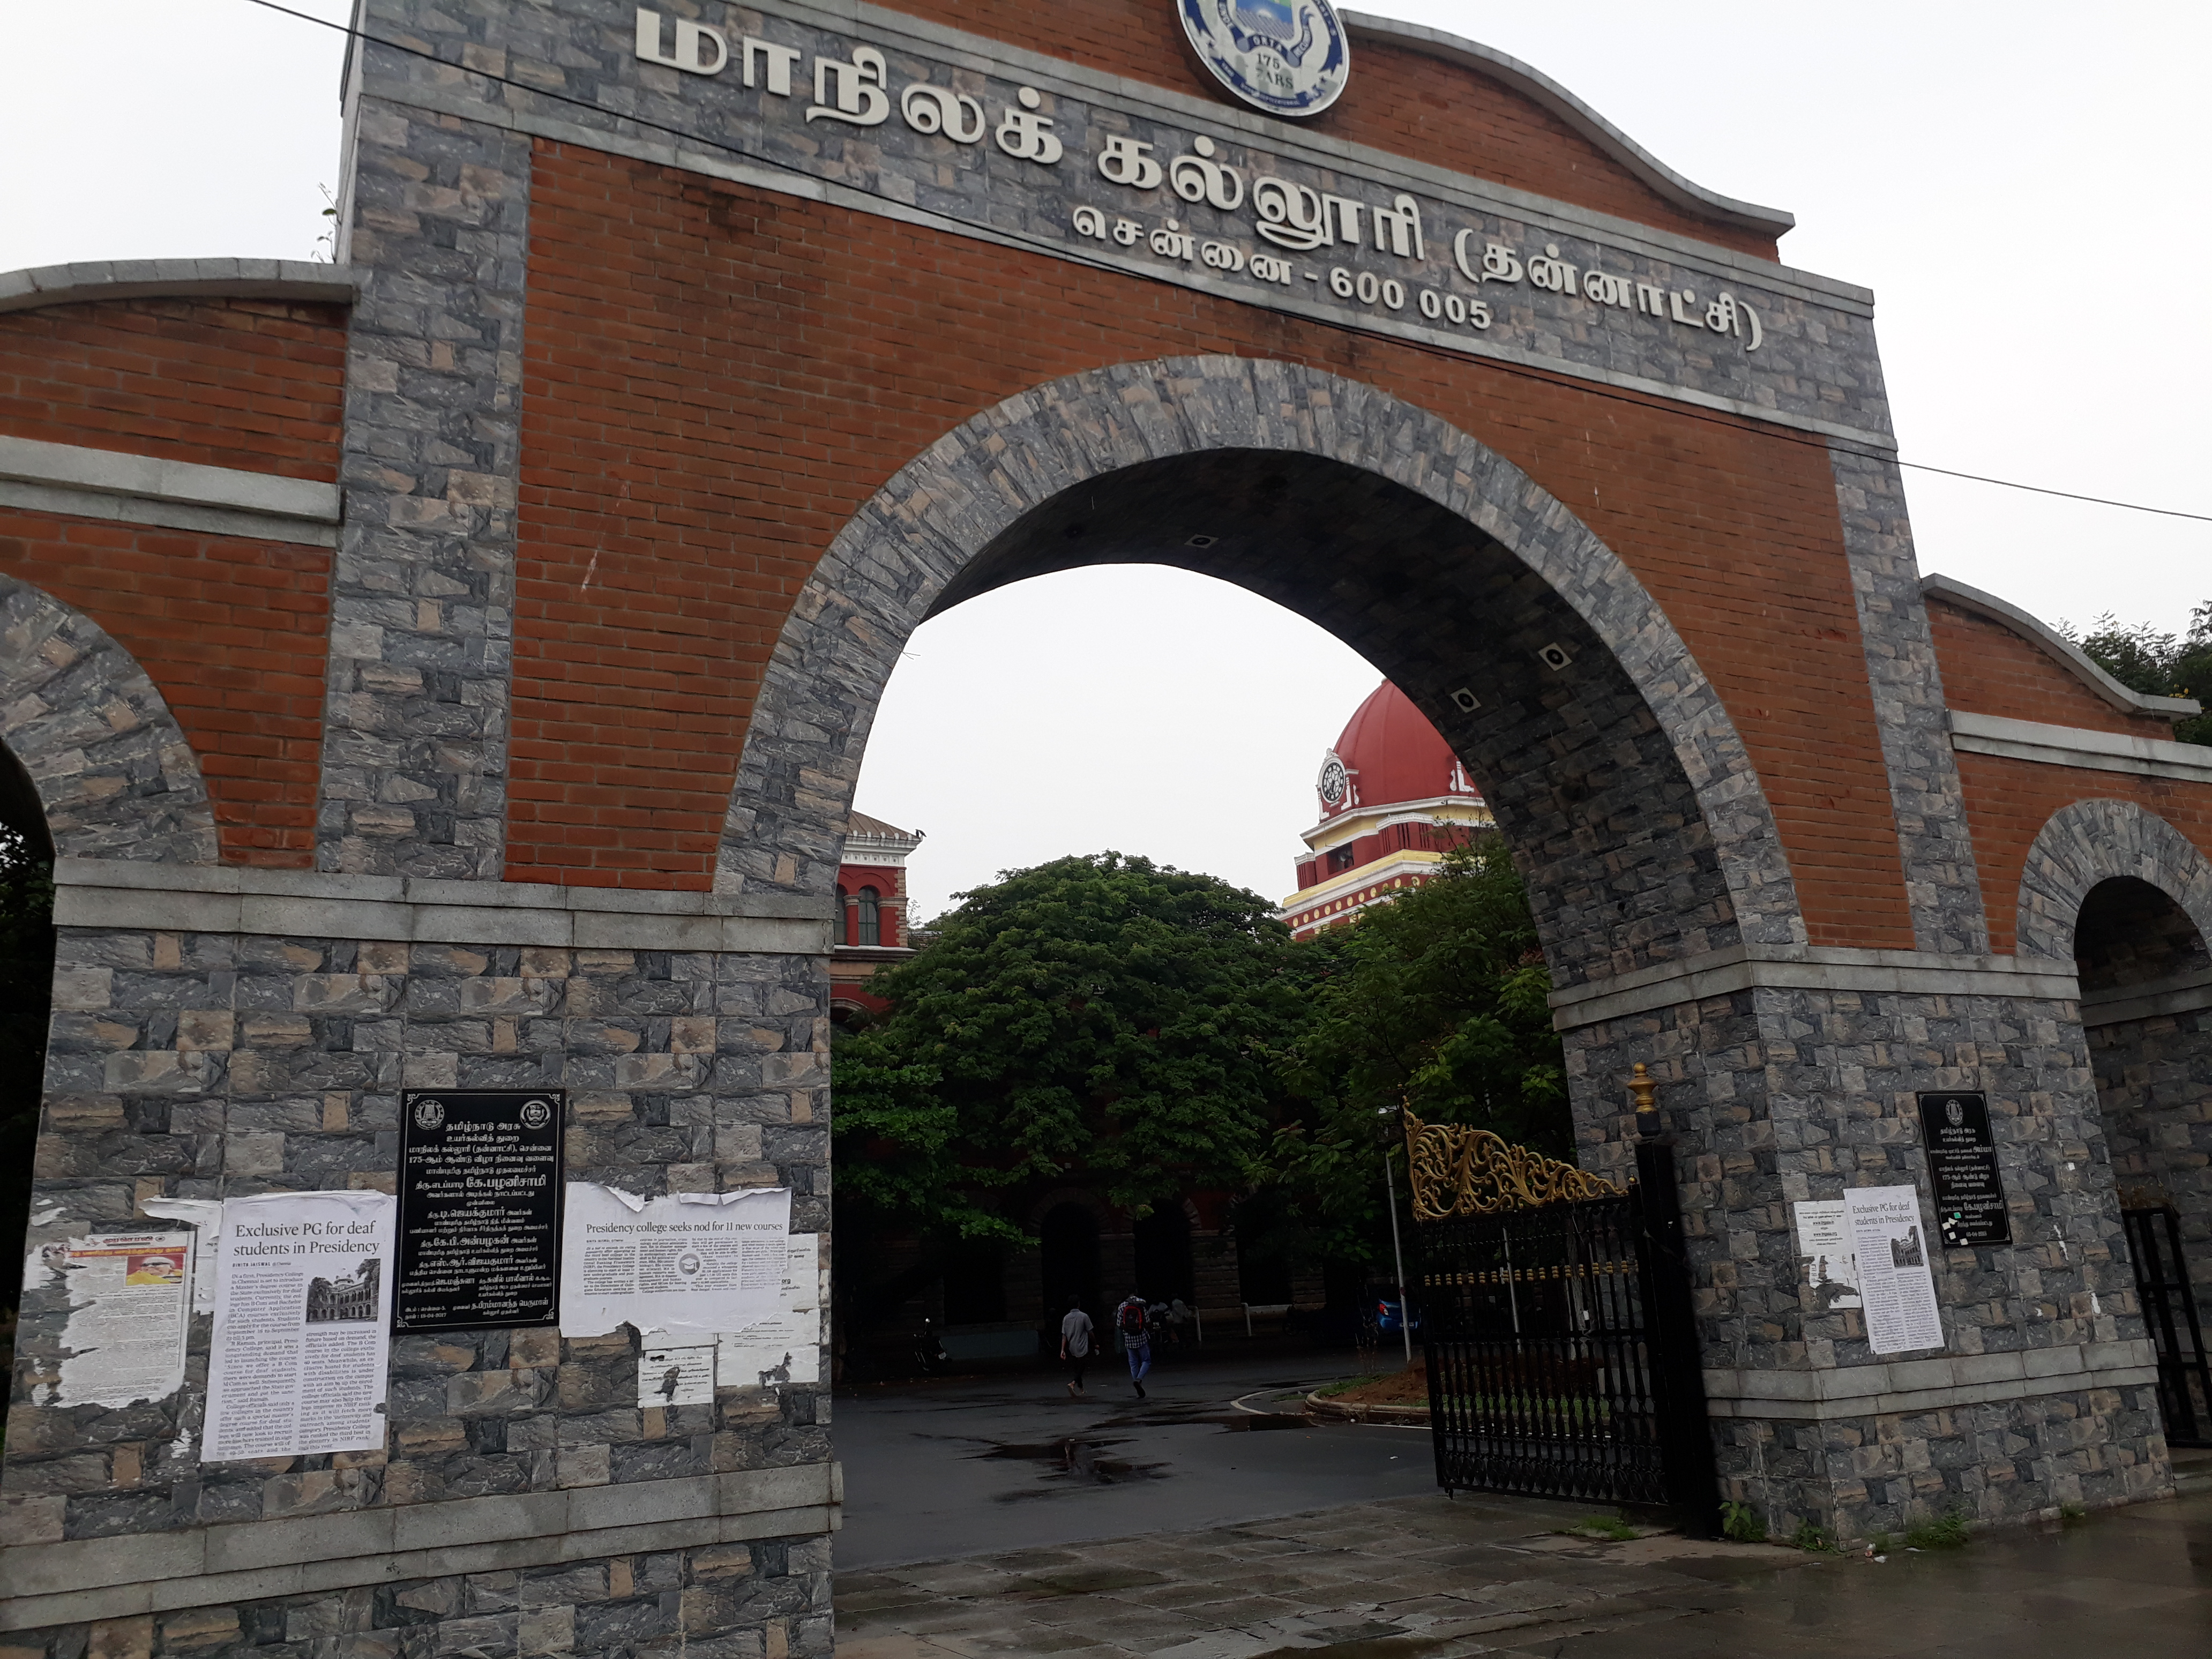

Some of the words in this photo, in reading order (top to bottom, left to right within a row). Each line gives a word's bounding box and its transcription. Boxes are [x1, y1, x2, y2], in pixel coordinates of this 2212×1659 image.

[629, 4, 892, 132] மாநி
[899, 80, 1070, 170] லக்
[1090, 130, 1429, 264] கல்லூாி
[1070, 201, 1295, 289] சென்னை
[1324, 264, 1405, 315] 600
[1479, 236, 1742, 342] தன்னாட்சி
[1419, 284, 1496, 335] 005
[443, 1117, 498, 1135] தமிழ்நாடு
[494, 1118, 524, 1133] அரசு
[443, 1128, 499, 1146] உயா்கல்வித்
[493, 1131, 525, 1146] துறை
[406, 1140, 444, 1156] மாநிலக்
[437, 1141, 473, 1158] கல்லூாி
[468, 1141, 519, 1155] (தன்னாட்சி),
[514, 1142, 555, 1156] எசன்னை
[407, 1152, 445, 1170] 175-ஆம்
[443, 1152, 474, 1169] ஆண்டு
[469, 1150, 497, 1167] விழா
[491, 1150, 527, 1167] நினனவு
[522, 1153, 557, 1165] வளைவு
[422, 1162, 465, 1179] மாண்புமிகு
[459, 1162, 497, 1178] தமிழ்நாடு
[493, 1163, 539, 1178] முதலமைச்சா்
[412, 1177, 467, 1194] திரு.எடப்பாடி
[421, 1187, 466, 1201] அவா்களால்
[462, 1186, 495, 1201] அடிக்கல்
[462, 1195, 499, 1210] முன்னிலை
[463, 1171, 551, 1192] கே.பழனிசாமி
[492, 1186, 539, 1200] நாட்டப்பட்டது
[423, 1205, 507, 1222] திரு.டி.ஜெயக்குமாா்
[501, 1205, 535, 1219] அவர்கள்